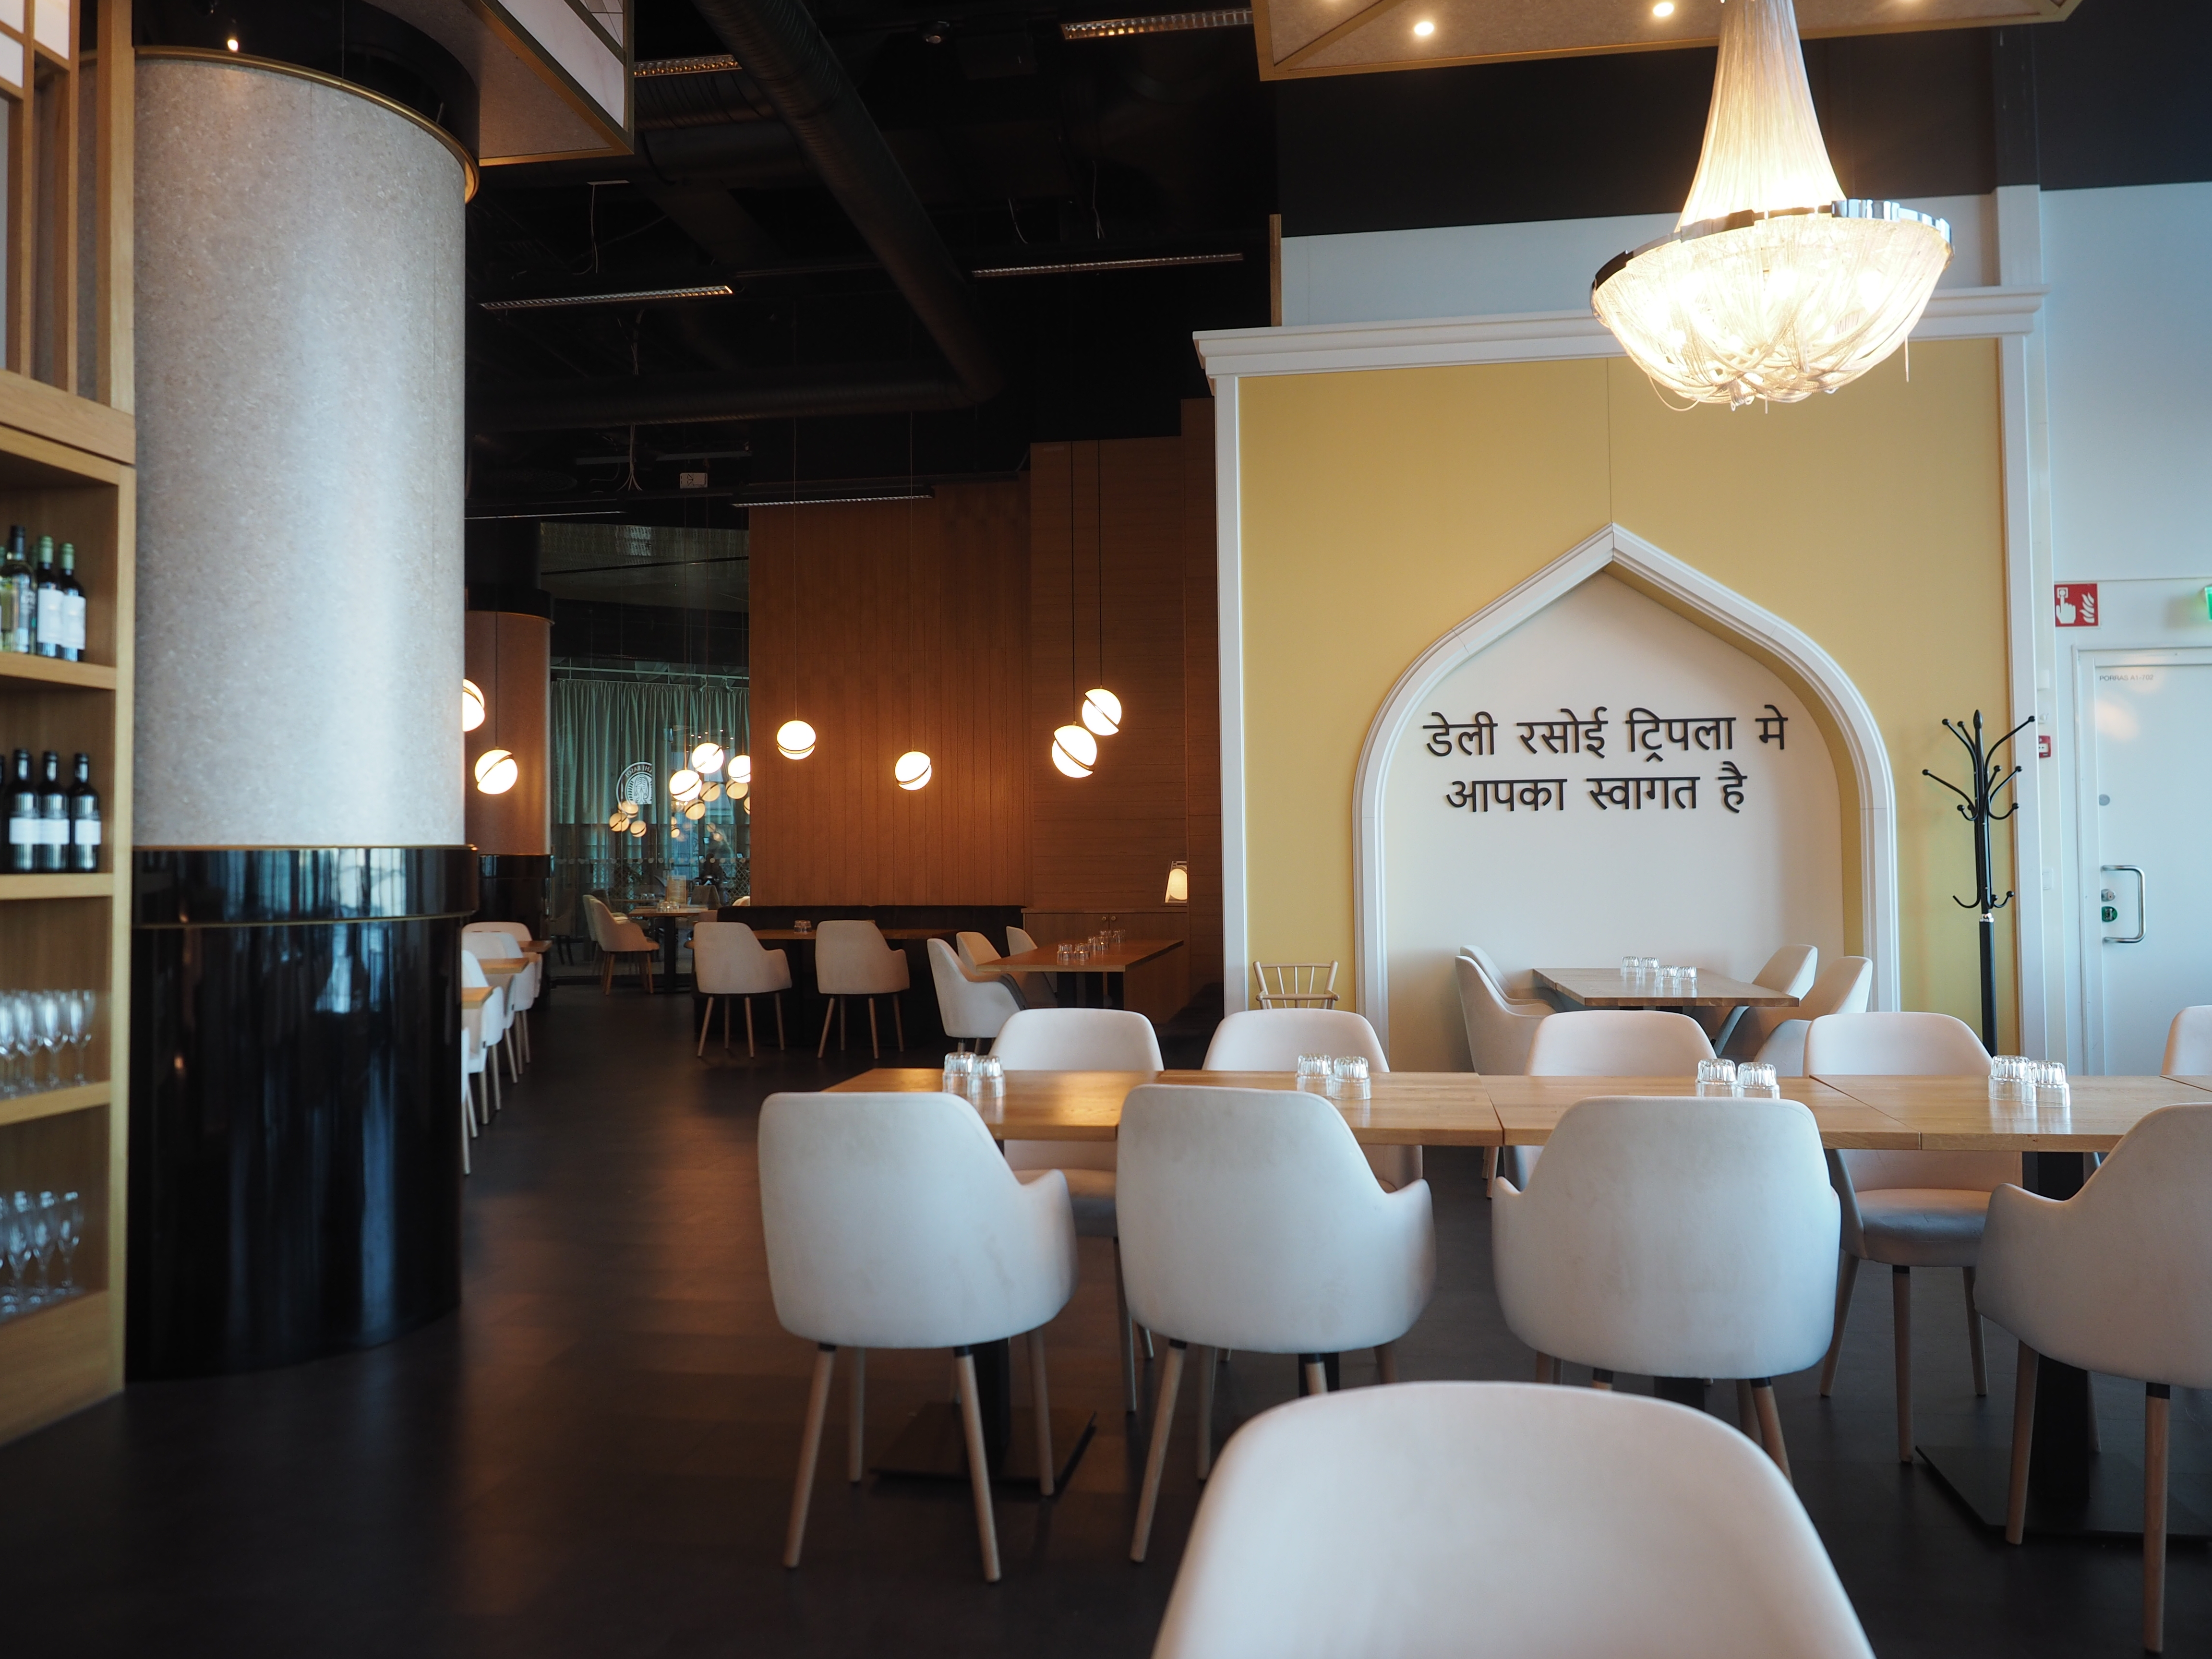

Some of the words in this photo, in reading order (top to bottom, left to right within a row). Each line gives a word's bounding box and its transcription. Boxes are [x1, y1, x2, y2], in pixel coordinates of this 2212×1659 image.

[1409, 701, 1499, 769] डेली
[1515, 704, 1611, 760] रसोई
[1620, 703, 1738, 763] ट्रिपला
[1748, 699, 1791, 755] मे
[1440, 776, 1570, 816] आपका
[1584, 775, 1702, 813] स्‍वागत
[1710, 759, 1753, 823] है